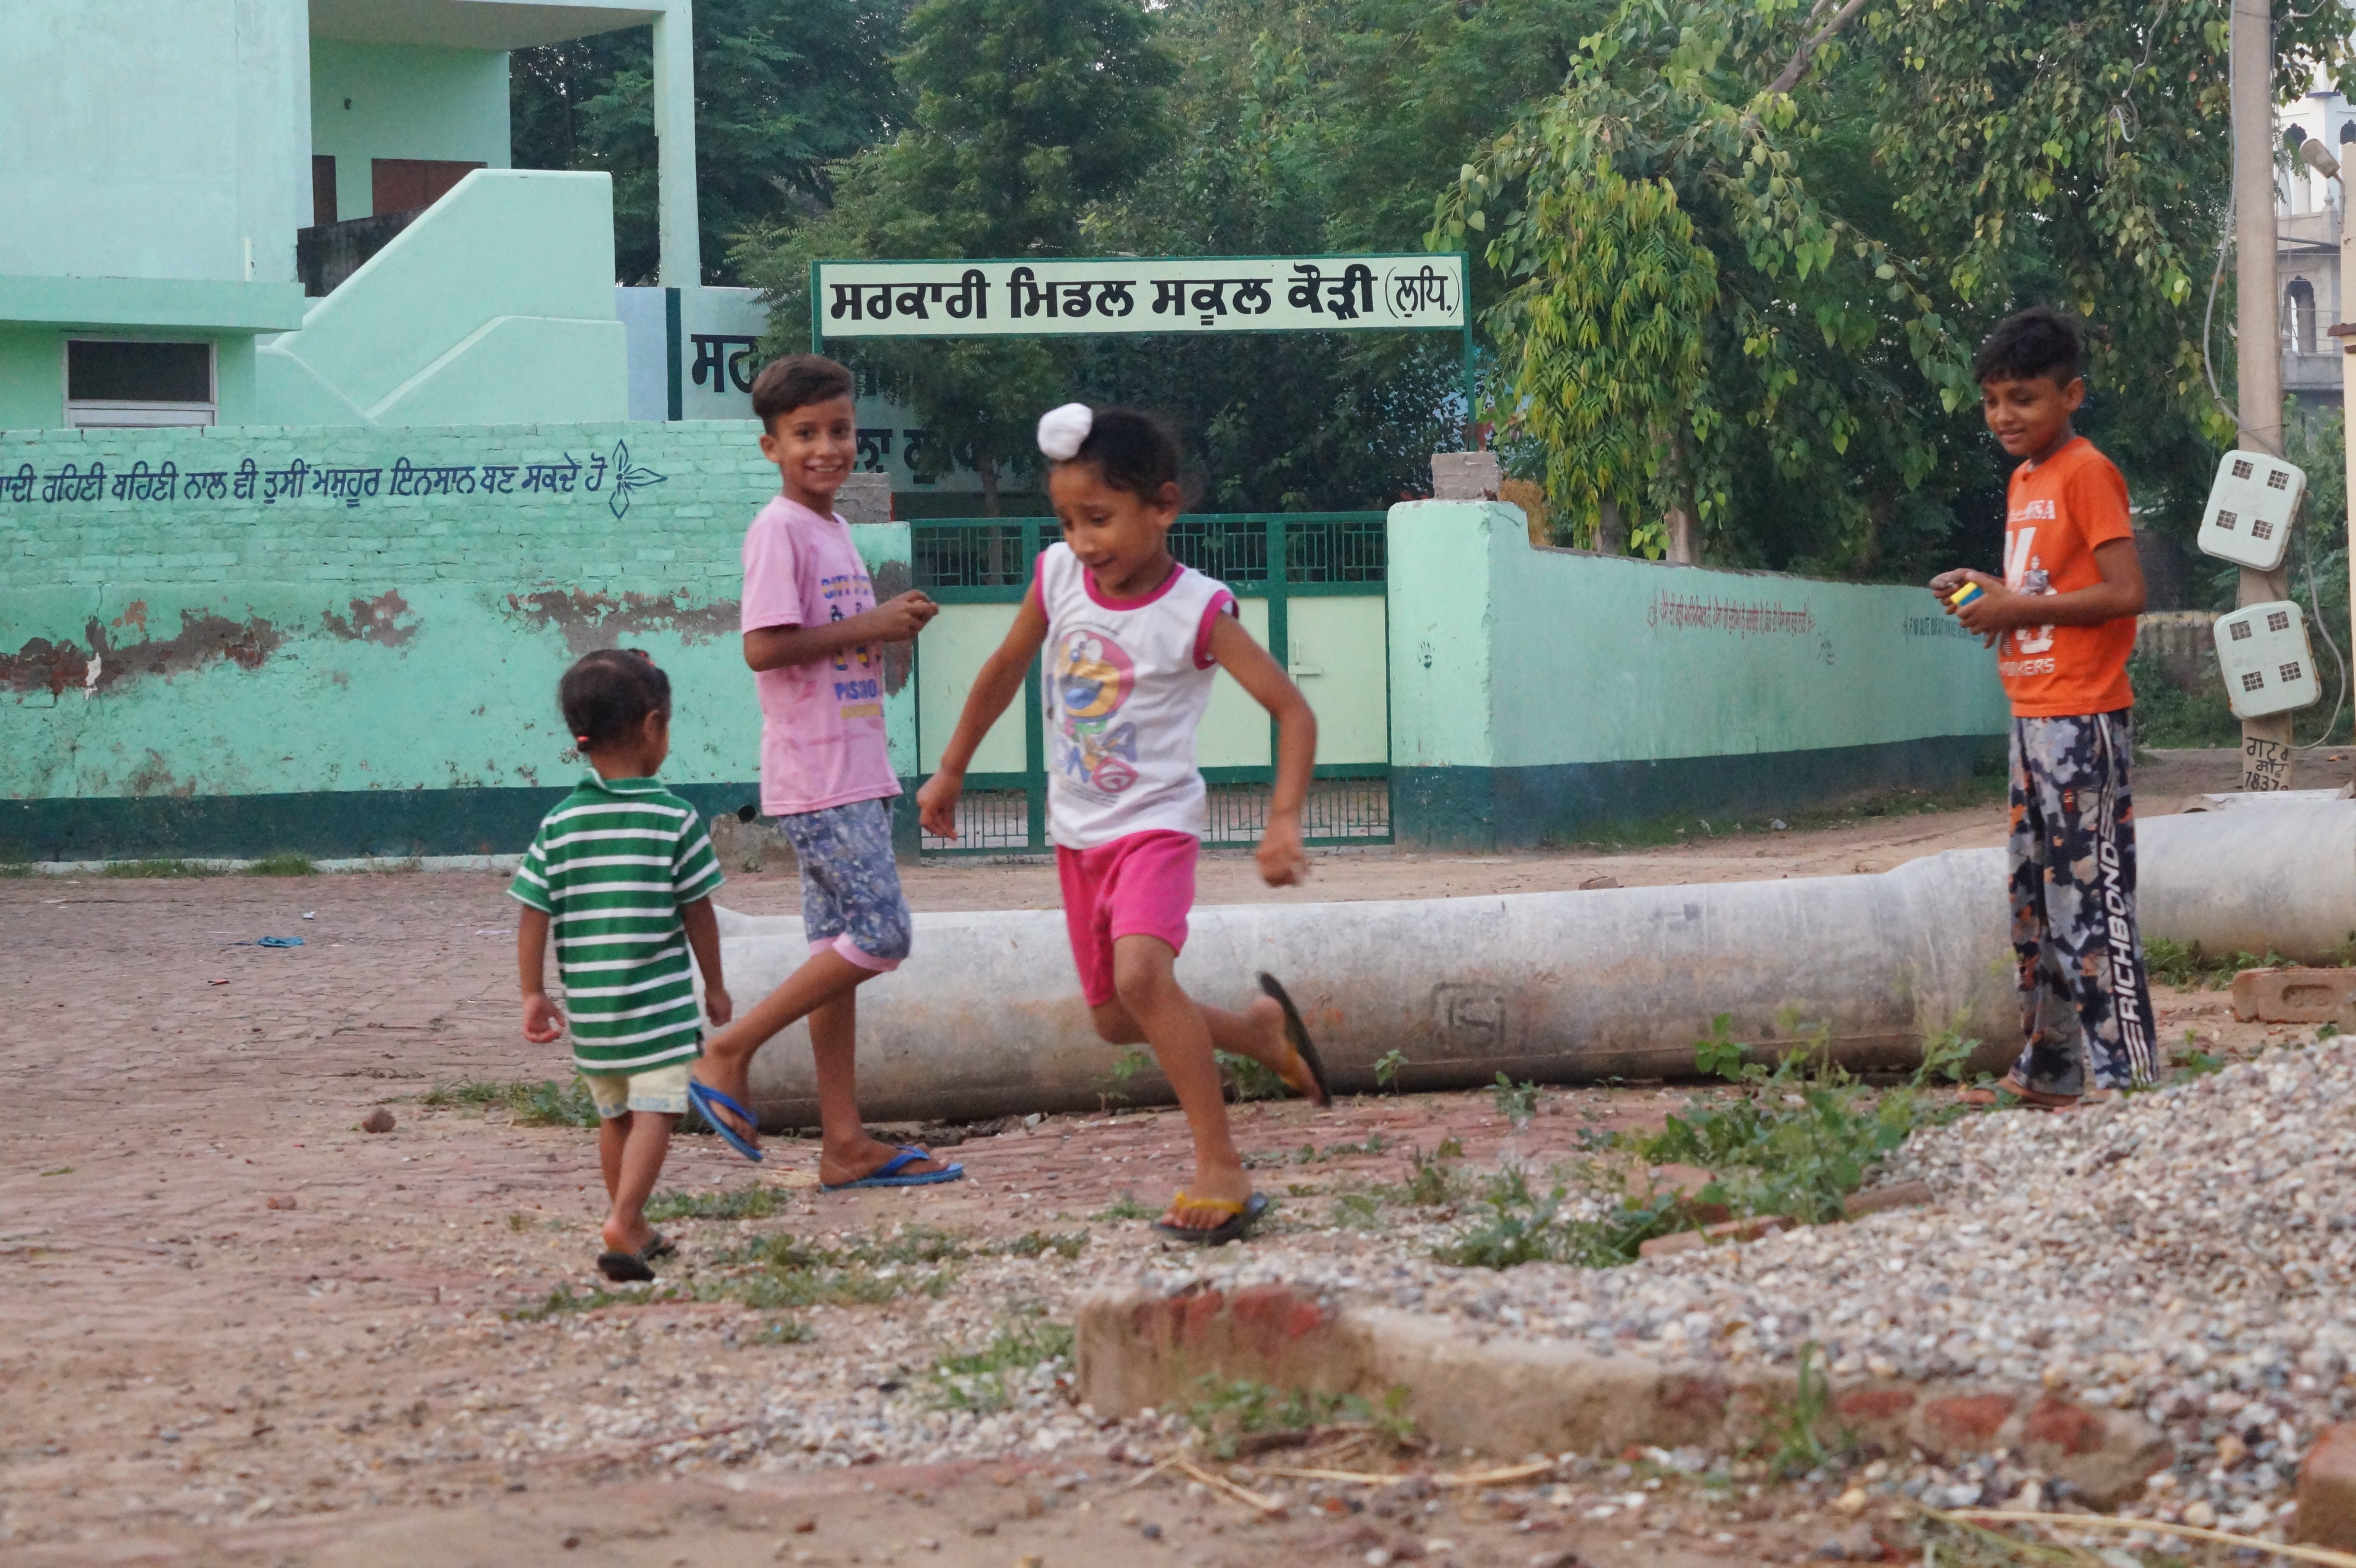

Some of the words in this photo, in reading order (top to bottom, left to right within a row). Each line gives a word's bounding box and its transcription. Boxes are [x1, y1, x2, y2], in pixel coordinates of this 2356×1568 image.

[824, 264, 996, 326] ਸਰਕਾਰੀ
[1001, 264, 1141, 324] ਮਿਡਲ
[1144, 274, 1277, 330] ਸਕੂਲ
[1283, 259, 1385, 326] ਕੌੜੀ
[1388, 262, 1458, 324] ਲੁਧਿ.
[684, 326, 762, 401] ਸਰ
[0, 458, 40, 510] ਦੀ
[36, 457, 112, 512] ਰਹਿਈ
[108, 457, 182, 506] ਬਹਿਈ
[179, 463, 231, 504] ਨਾਲ
[229, 454, 262, 505] ਵੀ
[257, 455, 313, 510] ਤੁਸੀਂ
[307, 459, 387, 512] ਮਸ਼ਹੂਰ
[385, 452, 479, 503] ਇਨਸਾਨ
[478, 459, 523, 499] ਬਣ
[517, 450, 584, 497] ਸਕਦੇ
[581, 449, 613, 495] ਹੋ
[2243, 768, 2281, 793] 1837
[2245, 731, 2283, 762] ਗਟ
[2249, 757, 2291, 781] माढ
[2099, 837, 2146, 1027] RICHBOND